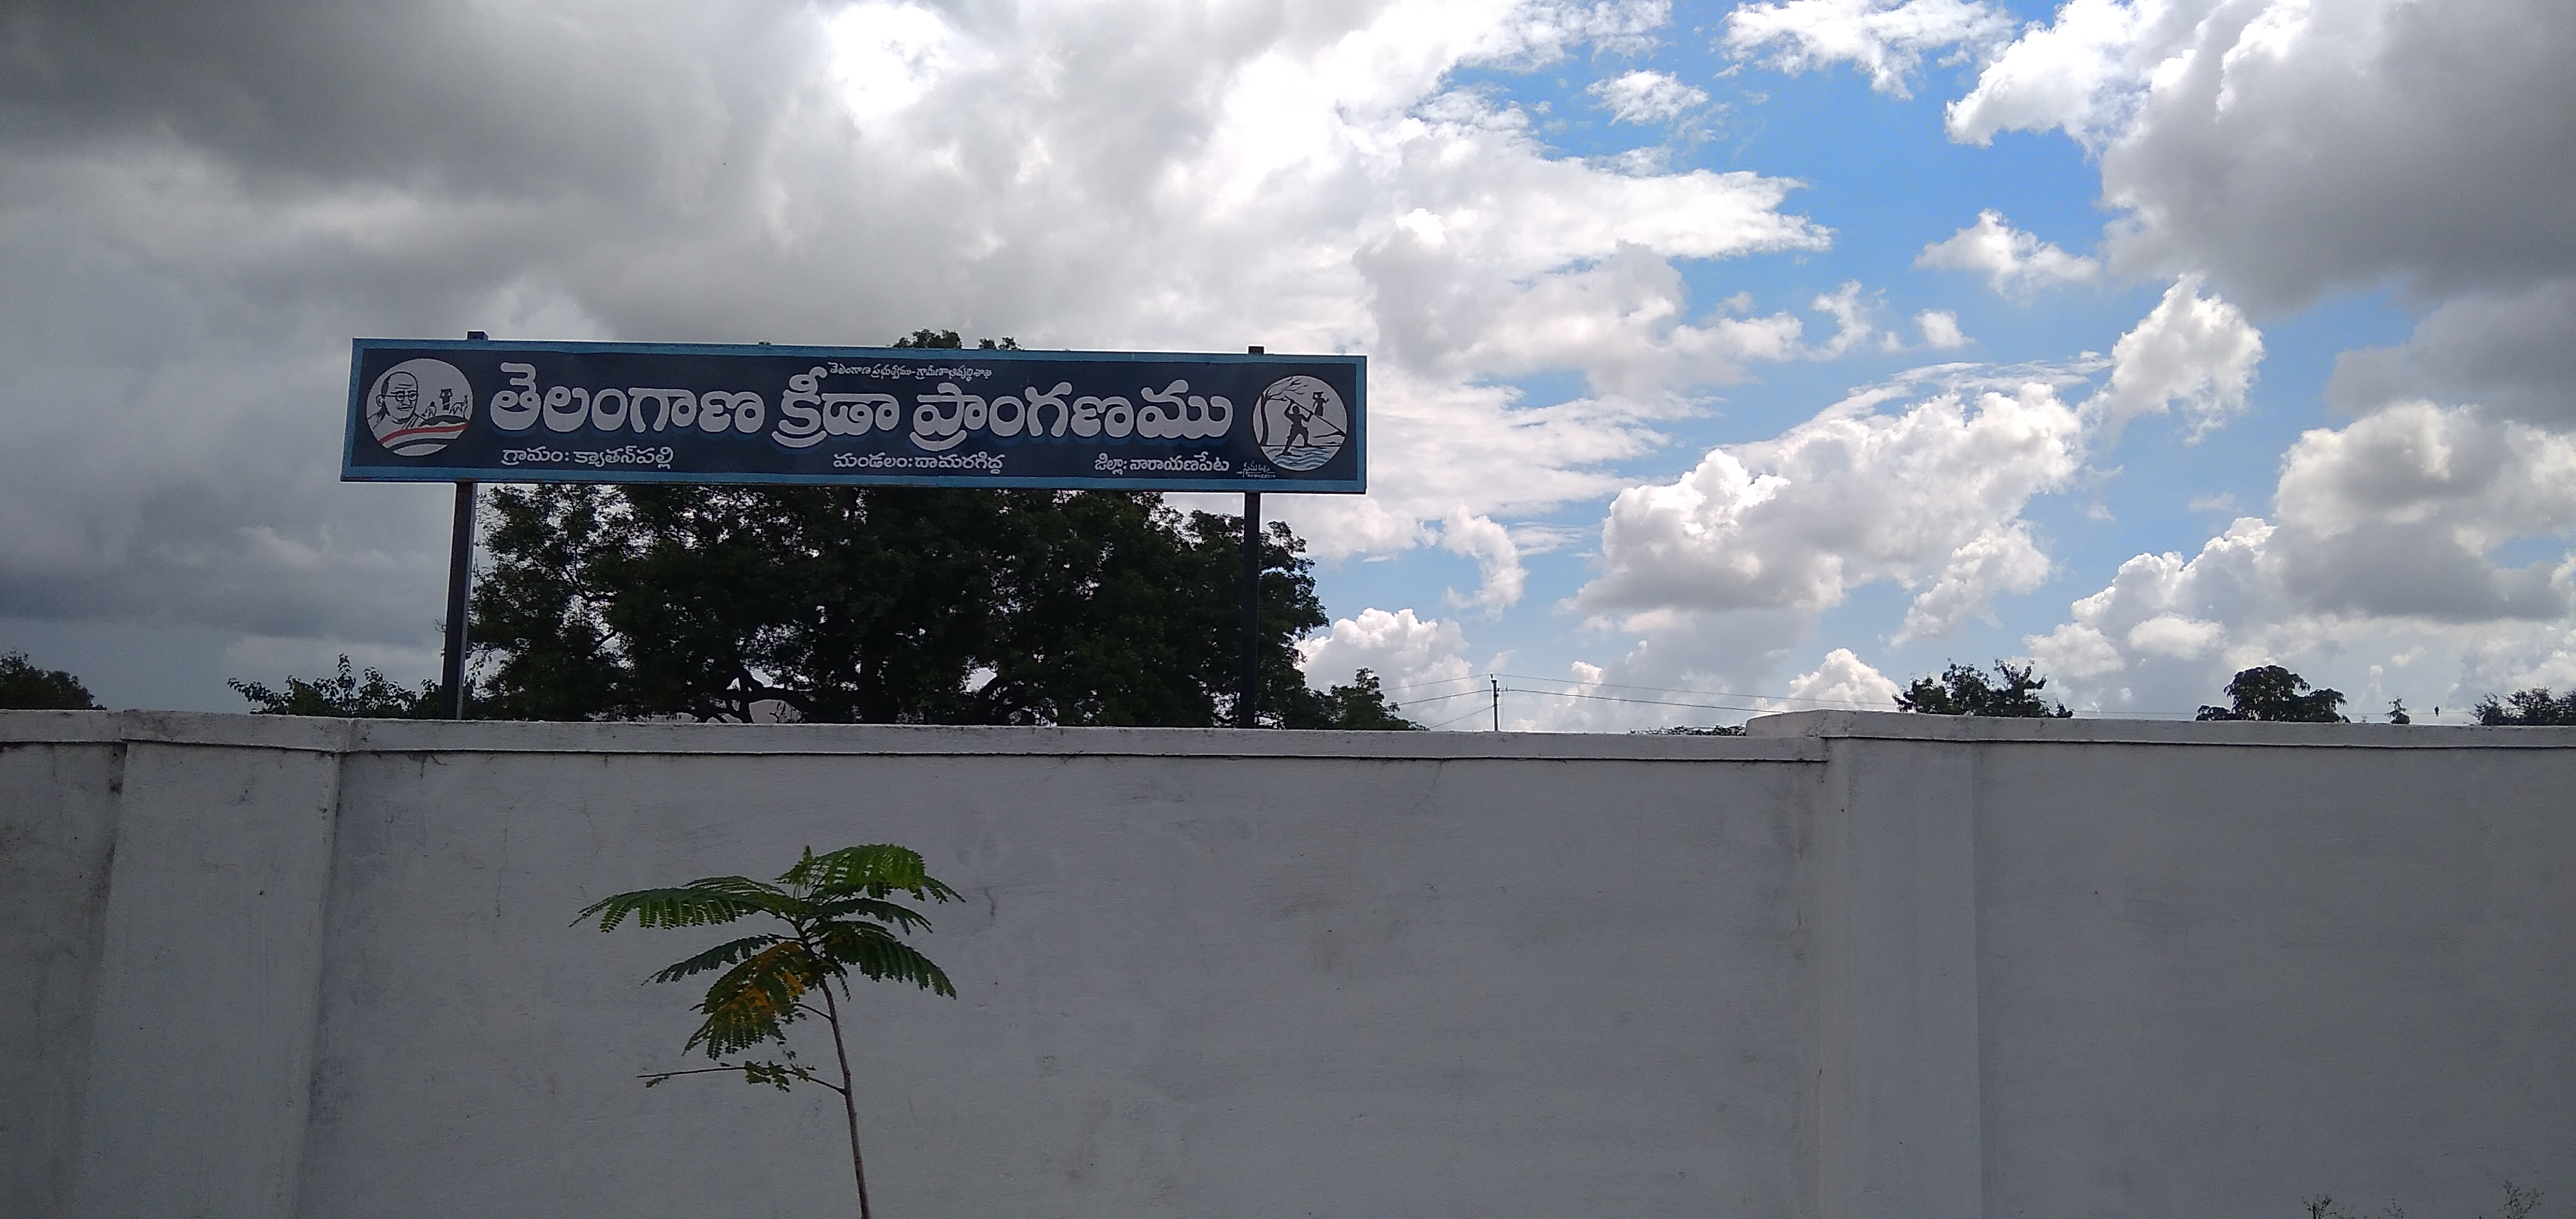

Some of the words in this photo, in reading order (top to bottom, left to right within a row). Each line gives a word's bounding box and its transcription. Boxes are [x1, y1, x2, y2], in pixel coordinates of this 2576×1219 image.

[824, 355, 916, 382] తెలంగాణ ప్రభుత్వము-
[914, 362, 994, 386] -గ్రామీణాభివృద్ధిశాఖ
[484, 358, 768, 437] తెలంగాణ
[765, 362, 905, 450] క్రీడా
[904, 373, 1240, 456] ప్రాంగణము
[499, 440, 569, 468] గ్రామం
[572, 444, 676, 471] క్యాతన్పల్లి
[831, 447, 910, 471] మండలం
[910, 448, 1007, 477] దామరగిద్ద
[1089, 447, 1130, 478] జిల్లా:
[1124, 447, 1230, 475] నారాయణపేట